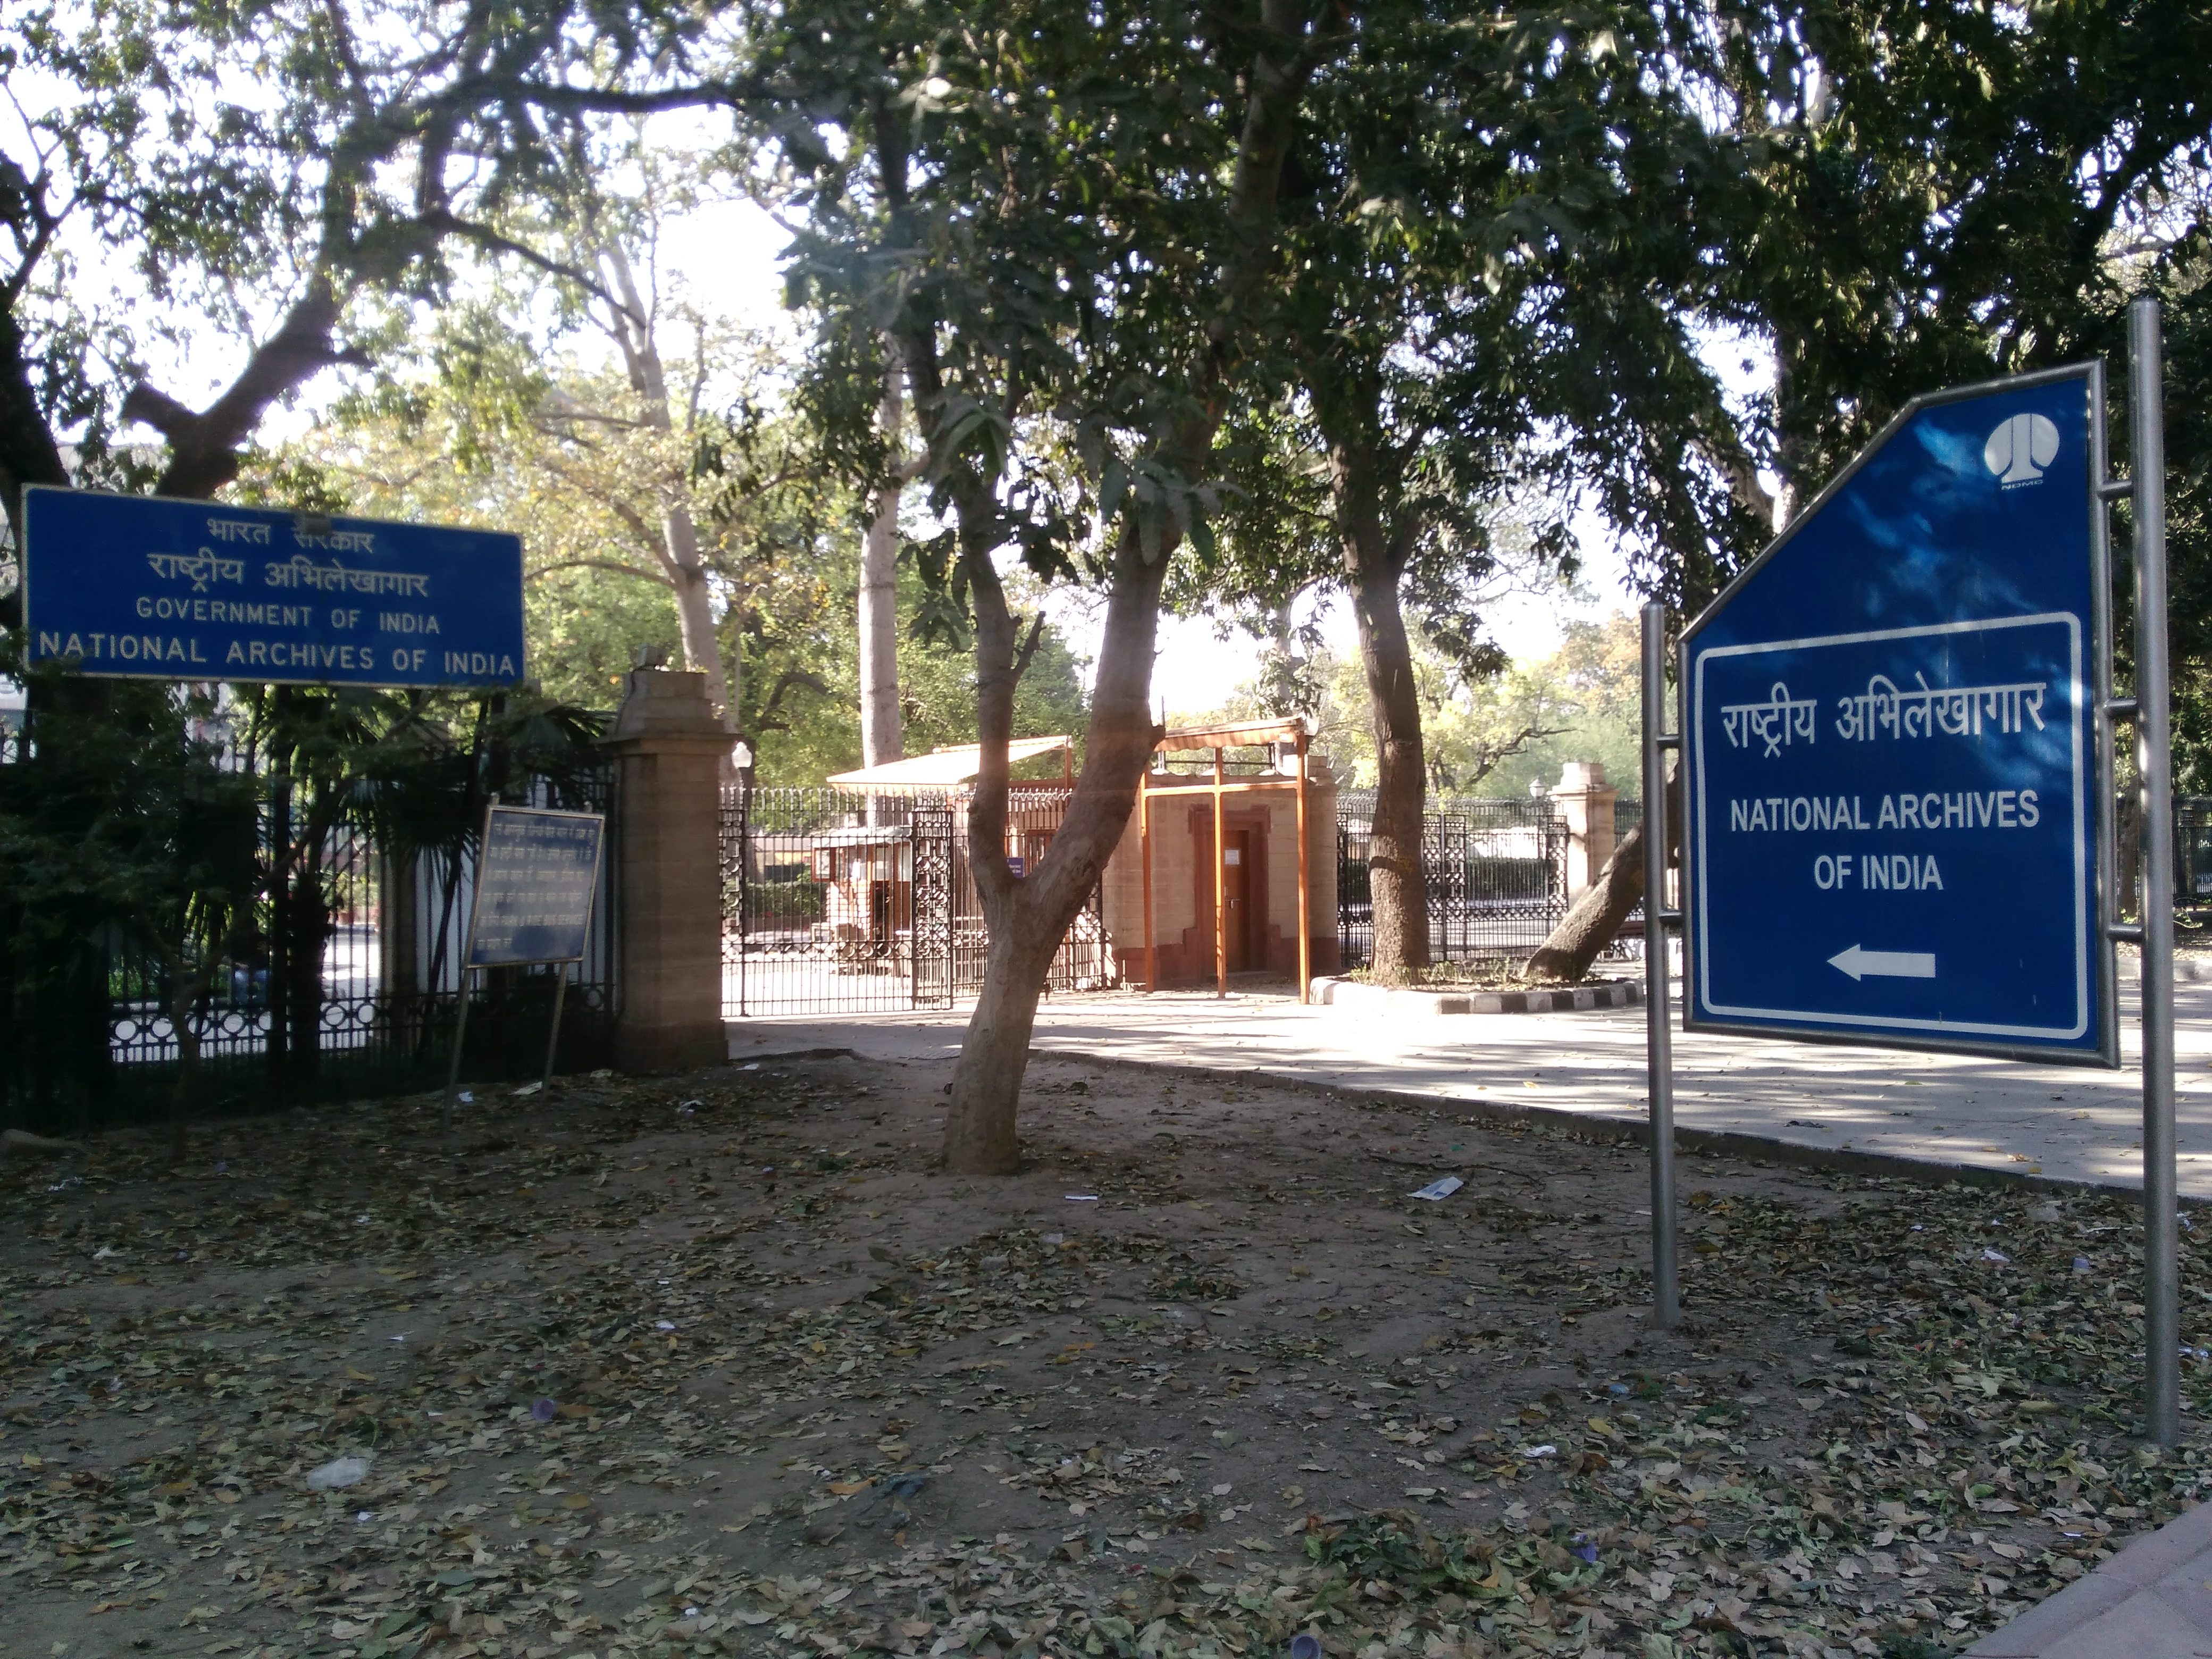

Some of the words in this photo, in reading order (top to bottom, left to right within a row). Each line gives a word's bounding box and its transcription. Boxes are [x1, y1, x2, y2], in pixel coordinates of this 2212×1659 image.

[198, 507, 274, 552] भारत
[289, 521, 379, 561] सरकार
[140, 543, 247, 593] राष्ट्रीय
[259, 549, 433, 603] अभिलेखागार
[135, 591, 314, 630] GOVERNMENT
[325, 606, 364, 634] OF
[375, 604, 441, 640] INDIA
[37, 628, 210, 663] NATIONAL
[222, 638, 378, 671] ARCHIVES
[389, 646, 430, 676] OF
[438, 647, 518, 678] INDIA
[1708, 678, 1822, 760] राष्ट्रीय
[1833, 669, 2051, 746] अभिलेखागार
[1726, 793, 1873, 833] NATIONAL
[1875, 786, 2044, 834] ARCHIVES
[1811, 849, 1855, 894] OF
[1856, 850, 1949, 893] INDIA